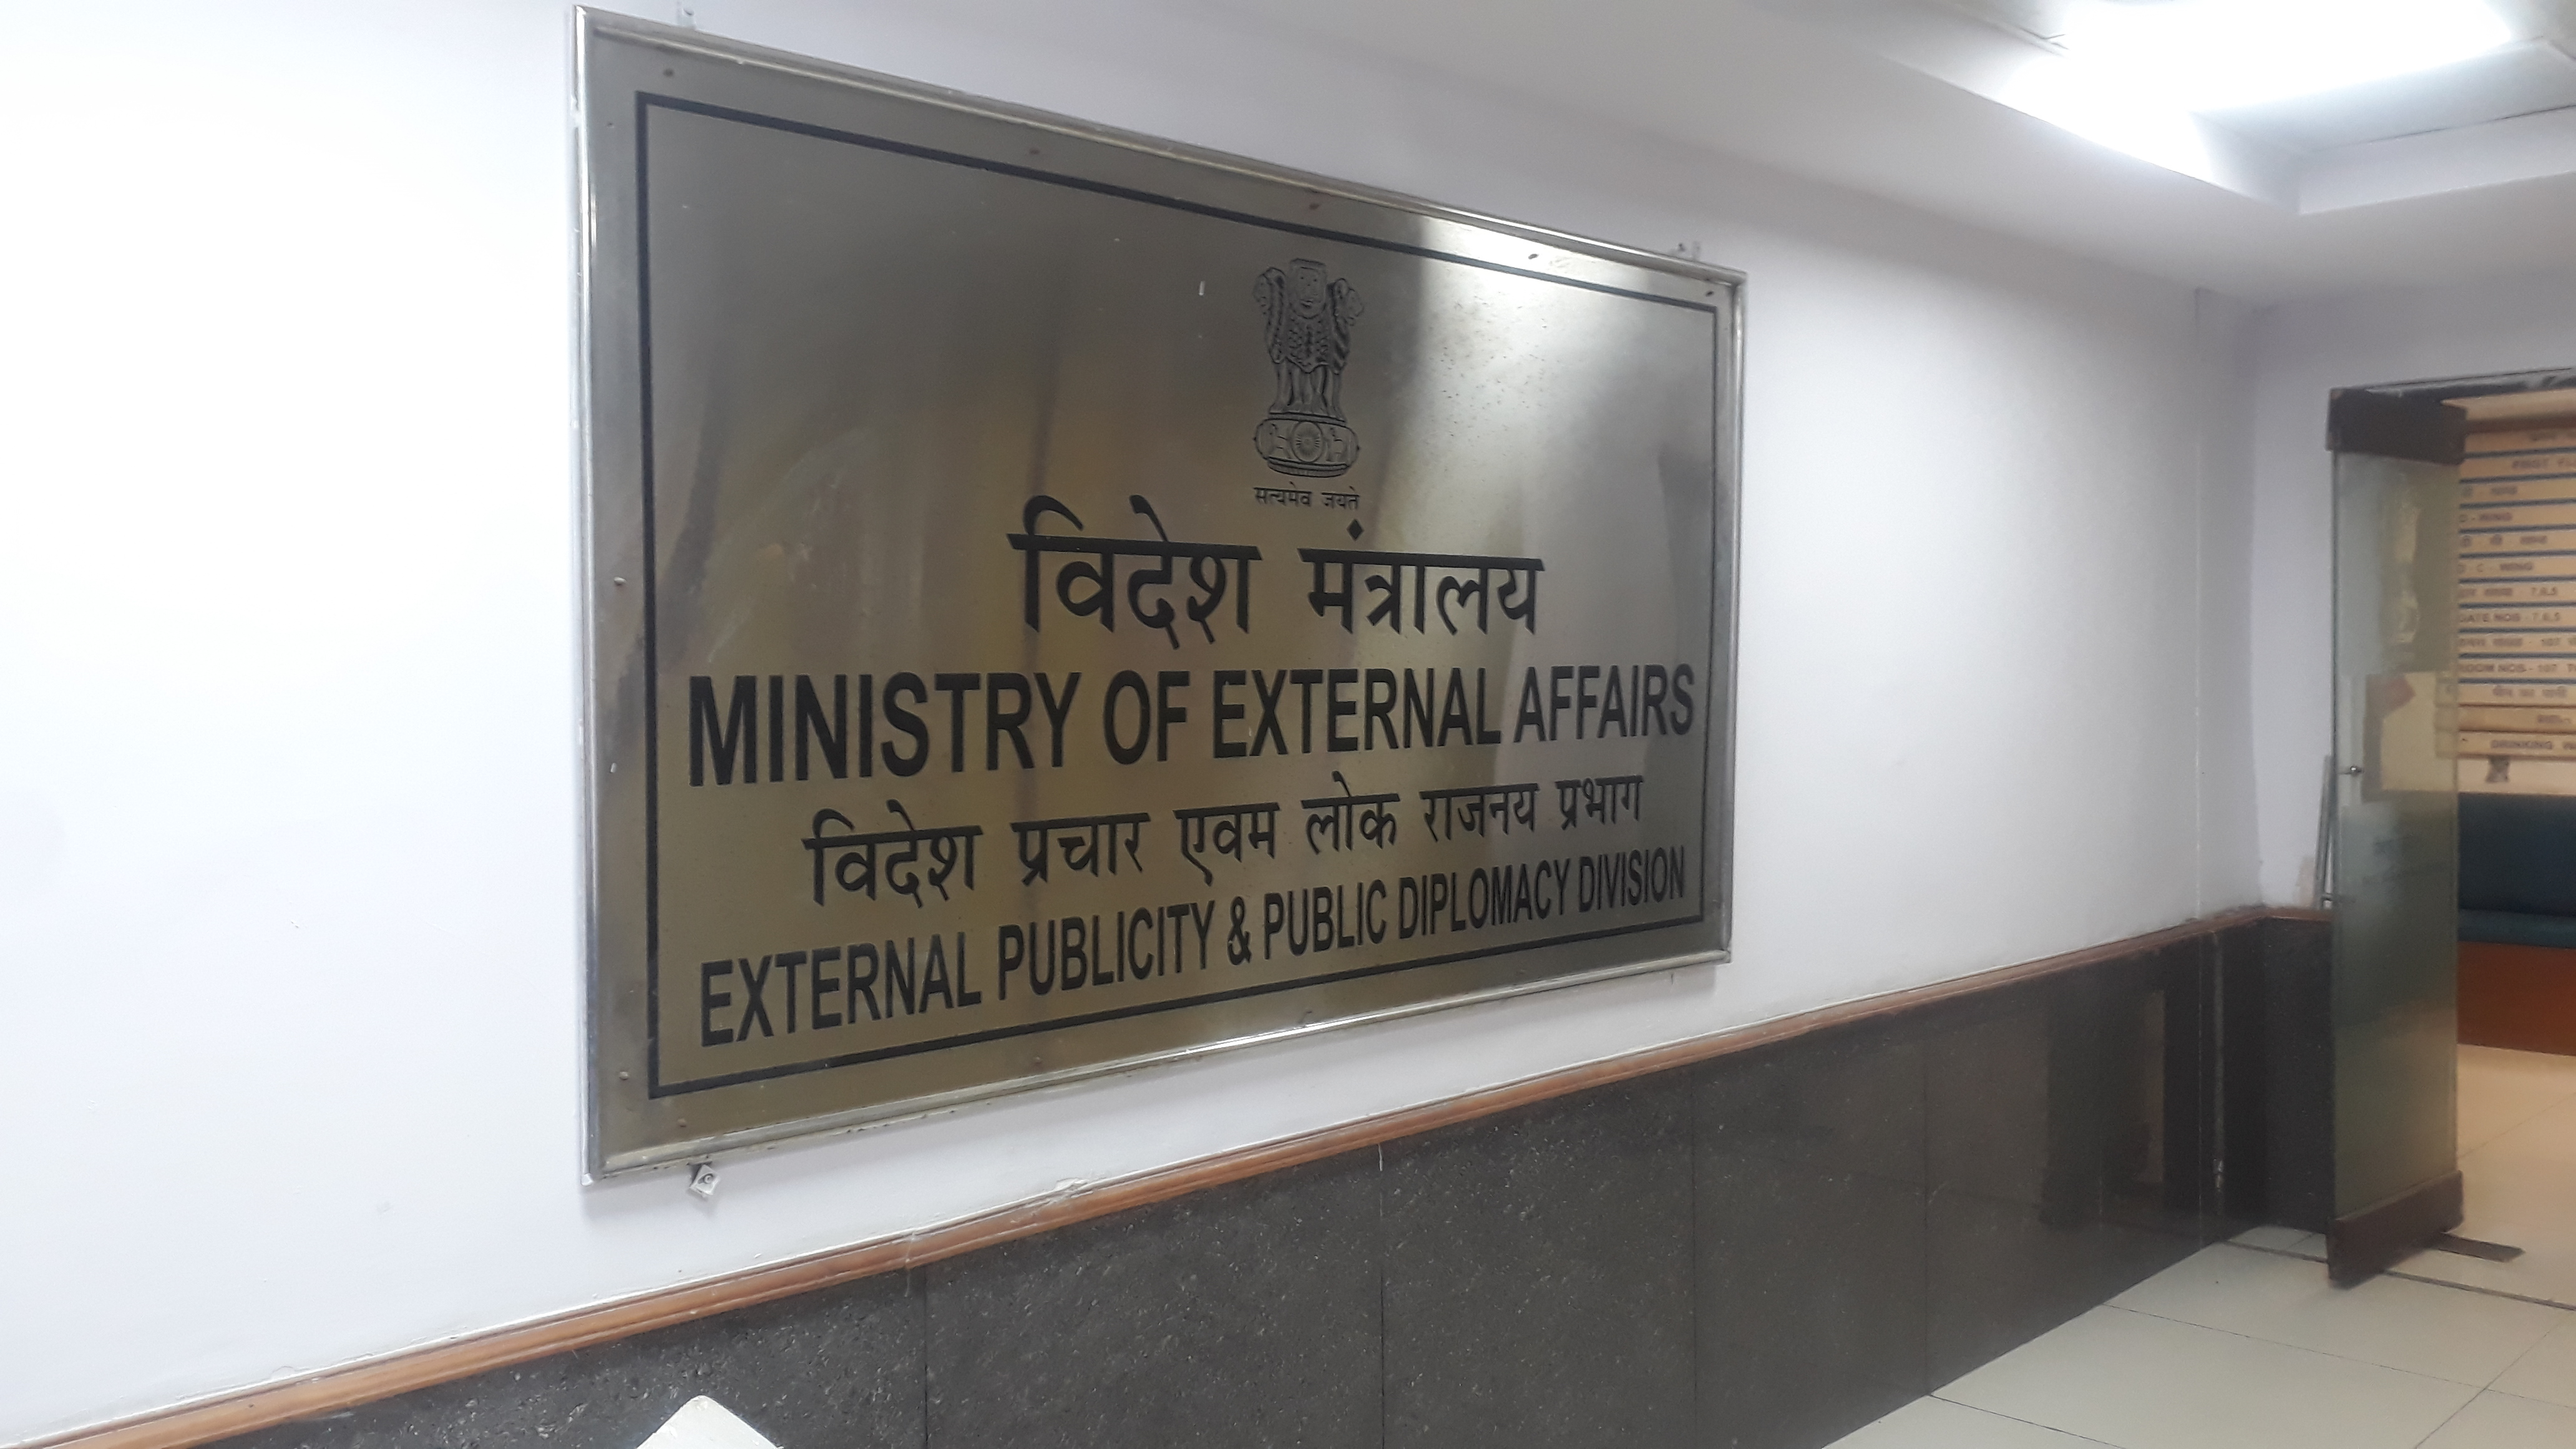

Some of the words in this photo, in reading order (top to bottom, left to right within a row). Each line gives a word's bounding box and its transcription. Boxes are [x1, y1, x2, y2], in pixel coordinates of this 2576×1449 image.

[1251, 477, 1315, 509] सत्वमेव
[1319, 480, 1362, 514] जयते
[1000, 490, 1267, 655] विदेश
[1294, 514, 1552, 636] मंत्रालय
[686, 668, 1087, 790] MINISTRY
[1090, 658, 1204, 776] OF
[1209, 663, 1506, 763] EXTERNAL
[1511, 660, 1699, 747] AFFAIRS
[698, 929, 986, 1050] EXTERNAL
[796, 797, 987, 912] विदेश
[1008, 808, 1157, 890] प्रचार
[993, 898, 1218, 1004] PUBLICITY
[1173, 799, 1285, 891] एवम
[1262, 876, 1391, 964] PUBLIC
[1297, 766, 1403, 856] लोक
[1417, 779, 1543, 843] राजनय
[1395, 855, 1573, 942] DIPLOMACY
[1553, 772, 1649, 834] प्रभाग
[1569, 837, 1694, 921] DIVISION